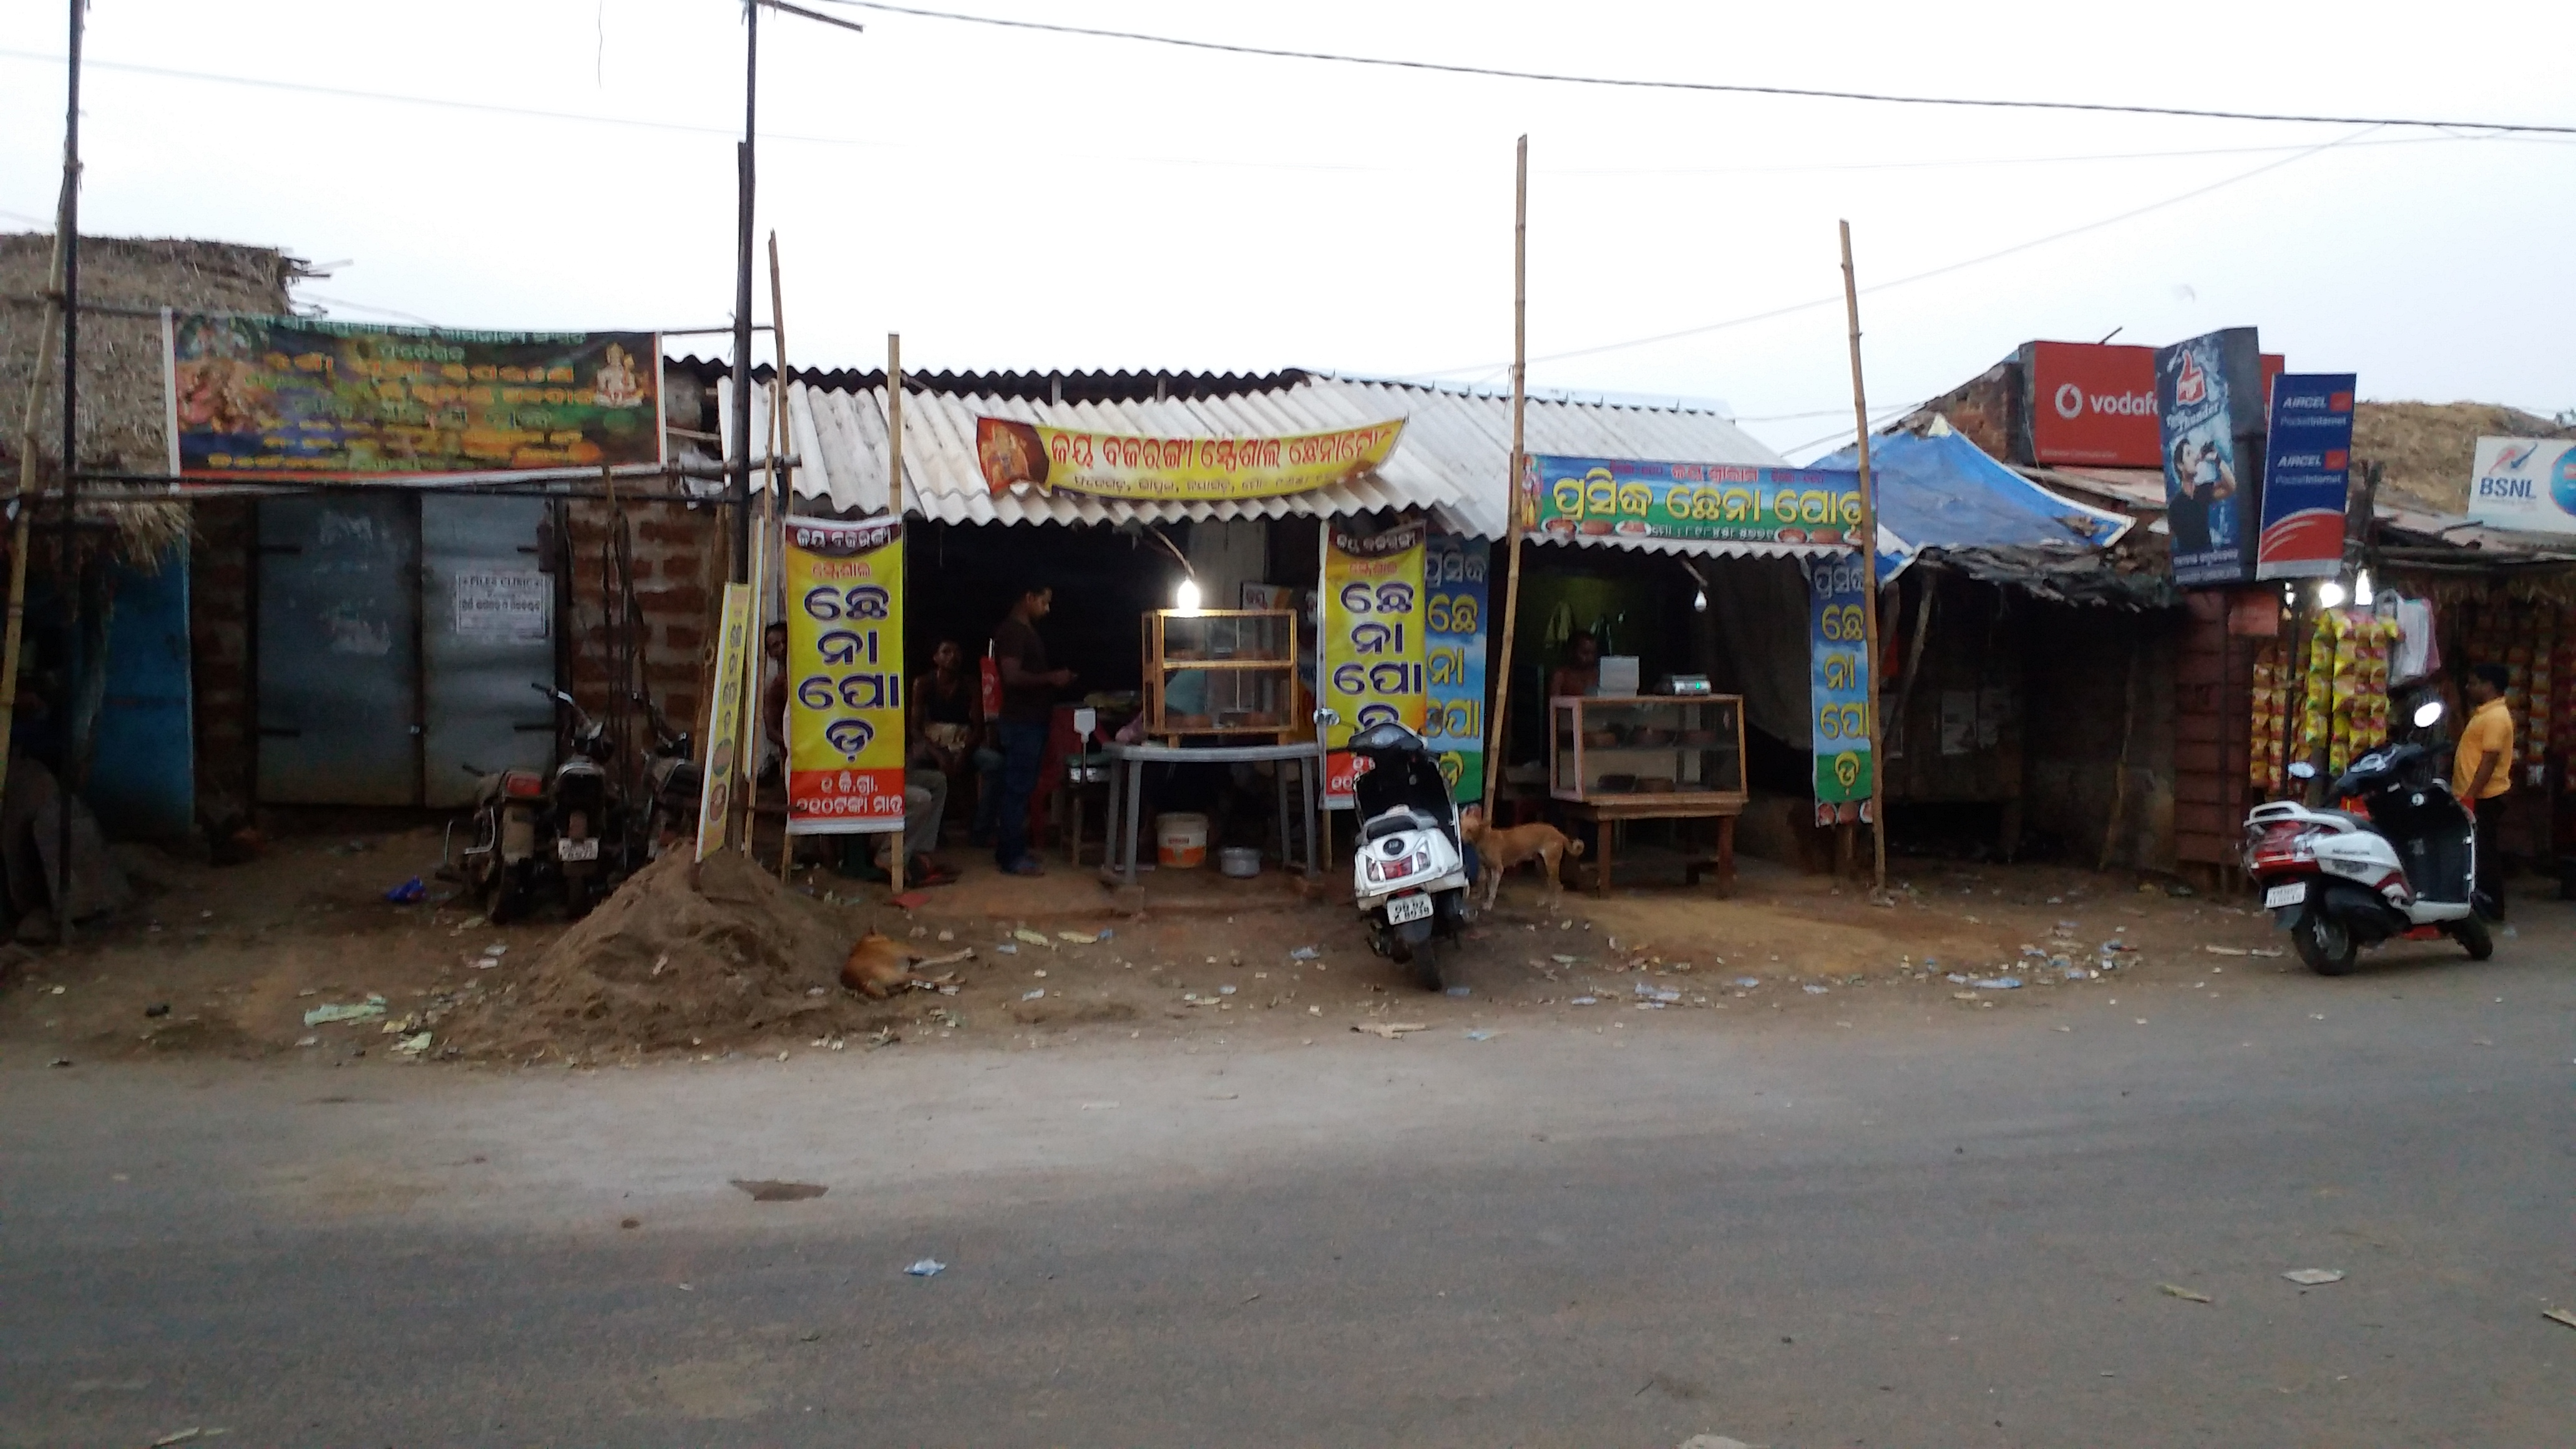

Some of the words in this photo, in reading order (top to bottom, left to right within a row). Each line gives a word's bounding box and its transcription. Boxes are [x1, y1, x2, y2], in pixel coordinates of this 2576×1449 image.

[2087, 385, 2166, 417] vodaf
[2280, 392, 2332, 413] AIRCEL
[1045, 424, 1100, 477] ଳୟ
[1100, 430, 1198, 471] ବଜରଙ୍ଗା
[1195, 431, 1285, 476] ସେଶାଲ
[1286, 424, 1392, 474] ଛେନାପୋ
[1548, 458, 1661, 526] ପ୍ରସିଦ୍ଧ
[1665, 477, 1765, 527] ଛେନା
[1770, 481, 1868, 530] ପୋତ଼
[2474, 471, 2540, 504] BSNL
[807, 625, 883, 671] ନା
[799, 580, 894, 624] ଛେ
[794, 670, 905, 713] ପୋ
[1334, 573, 1417, 618] ଛେ
[1347, 610, 1408, 659] ନା
[1329, 655, 1427, 700] ପୋ
[1417, 643, 1470, 687] ନା
[1418, 585, 1485, 640] ଛେ
[1415, 537, 1490, 592] ପ୍ରସିଦ୍ଧ
[1812, 650, 1860, 695] ନା
[1809, 559, 1876, 605] ପ୍ରସିଦ୍ଧ
[1813, 597, 1873, 646] ଛେ
[822, 716, 876, 768] ତ଼
[1412, 697, 1486, 743] ପୋ
[1815, 697, 1875, 746] ପୋ
[1827, 742, 1866, 800] ଡ଼
[871, 792, 906, 818] ମାତ,